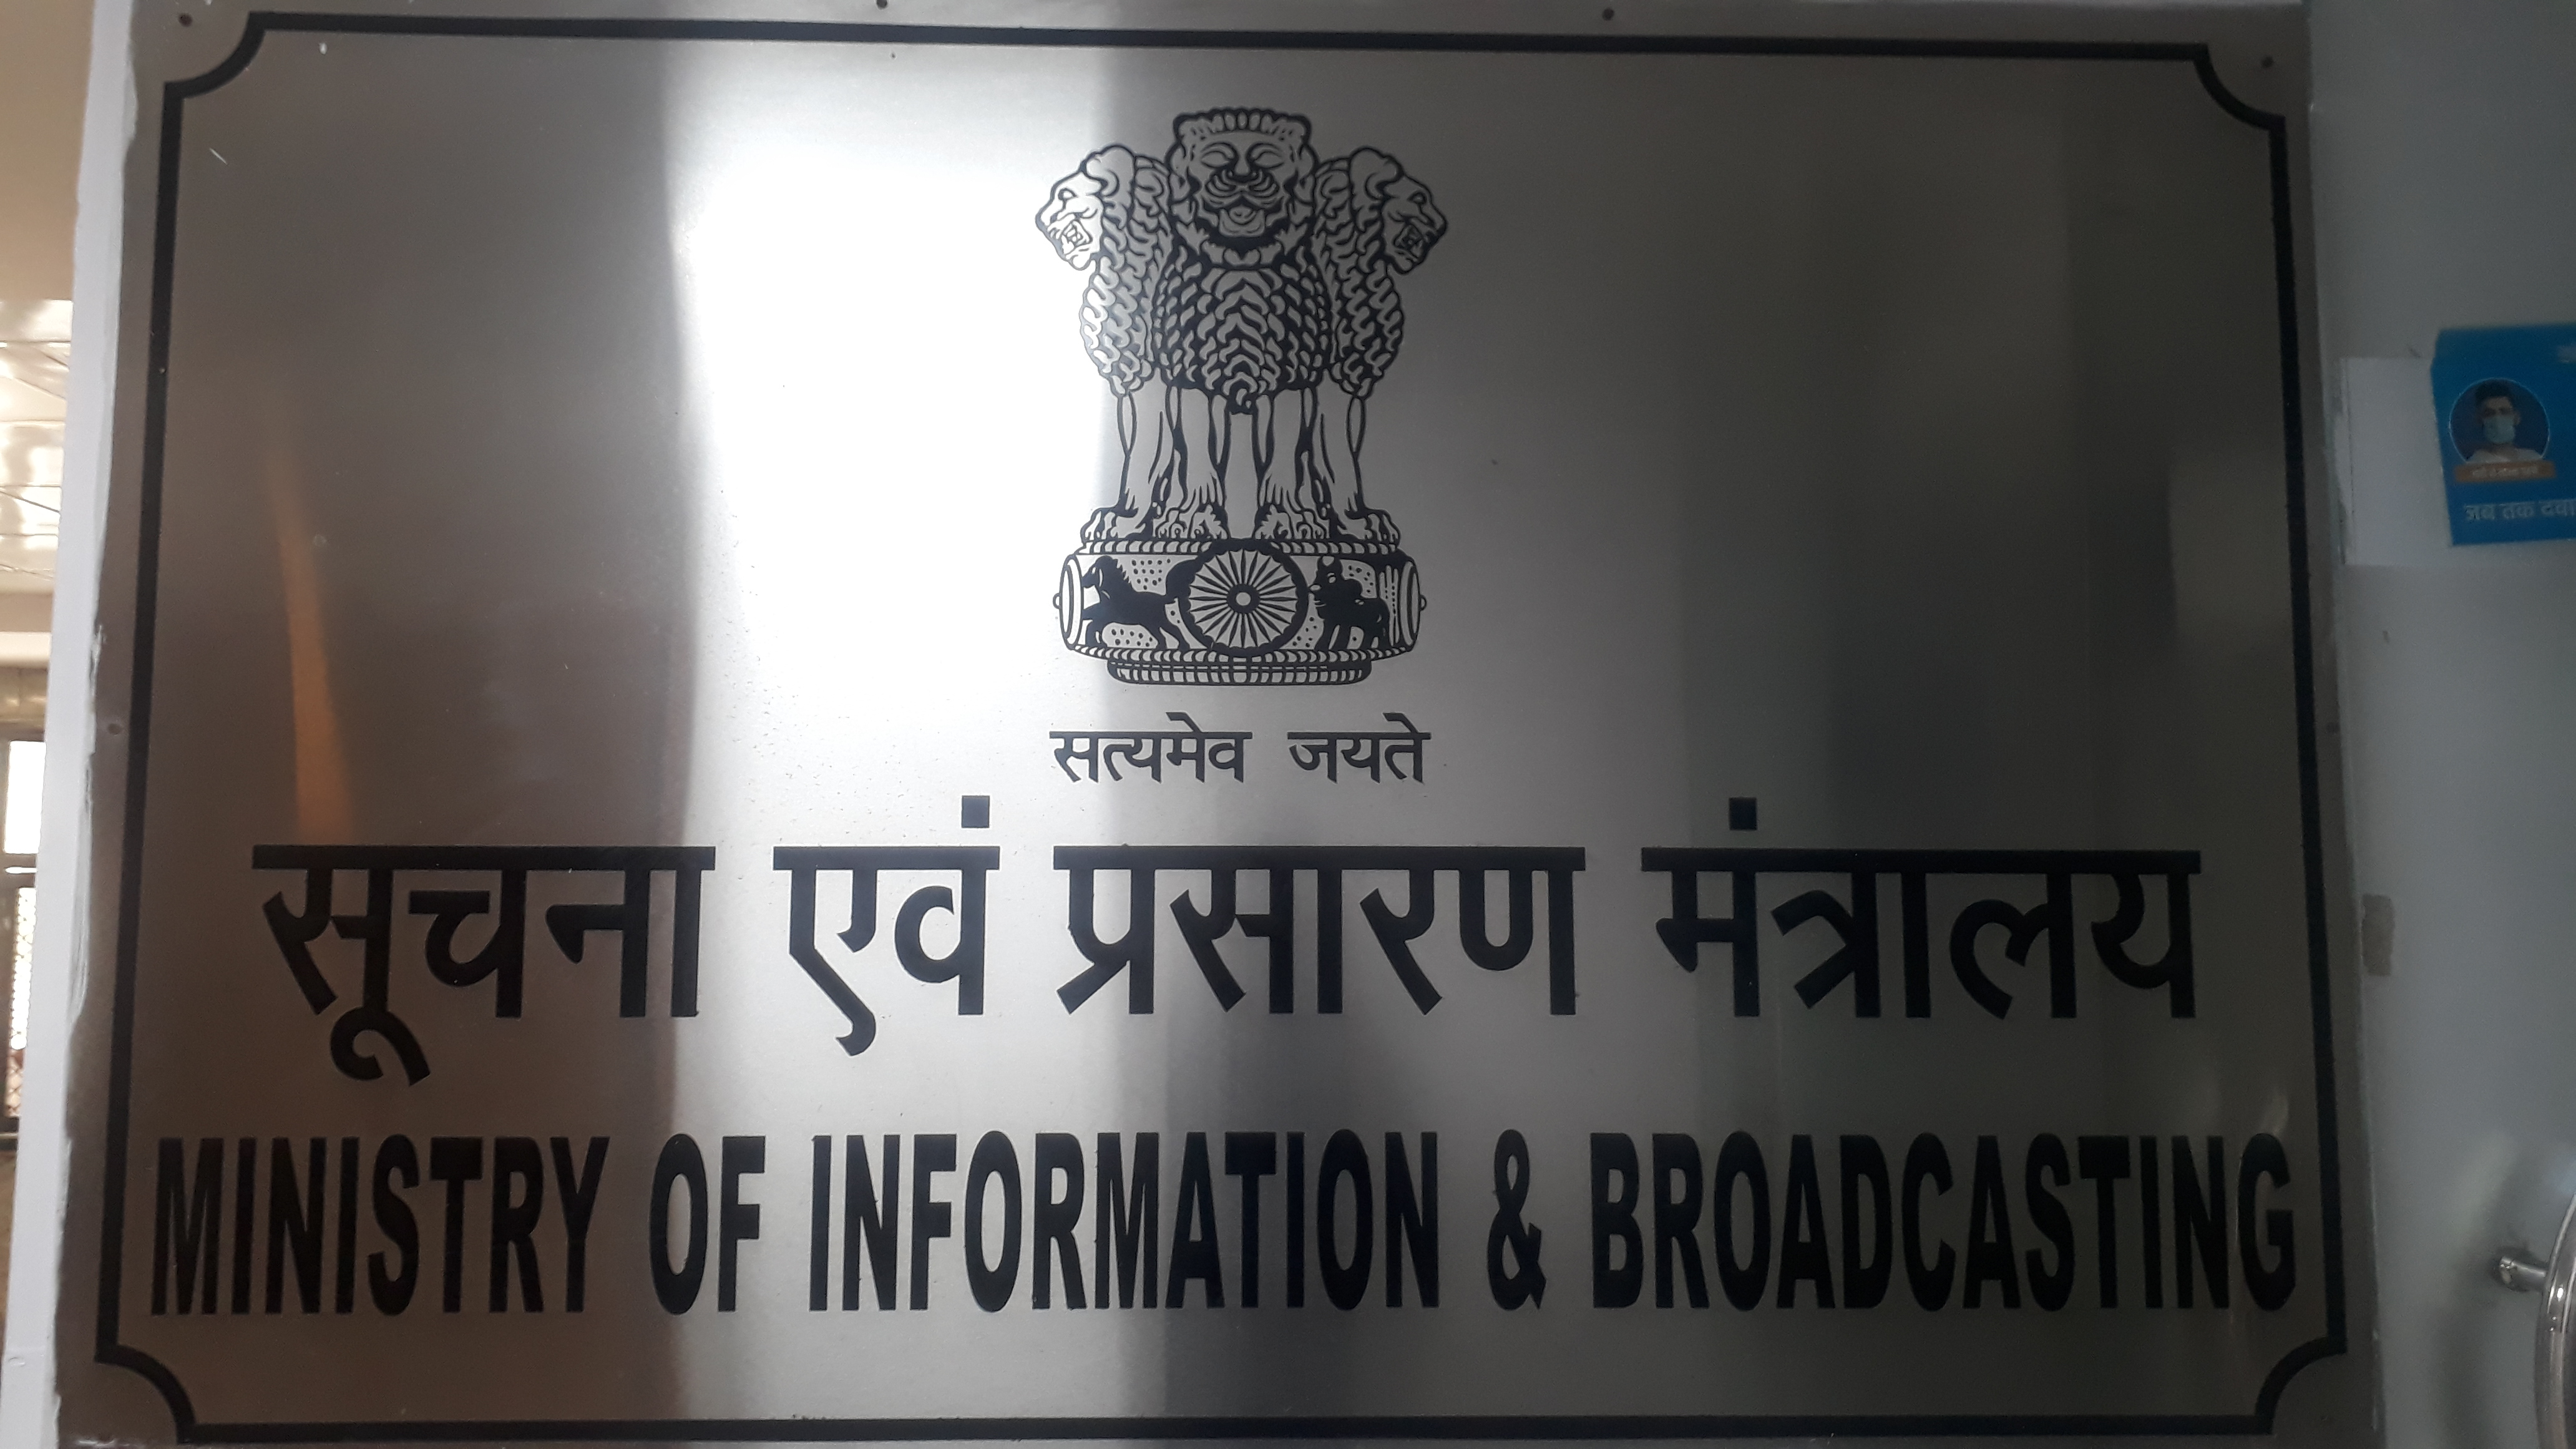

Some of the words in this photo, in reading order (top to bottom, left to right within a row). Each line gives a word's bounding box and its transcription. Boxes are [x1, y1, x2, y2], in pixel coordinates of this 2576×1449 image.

[2457, 500, 2498, 529] जब
[2493, 496, 2538, 527] तक
[1052, 704, 1257, 790] सत्यमेव
[1288, 705, 1433, 788] जयते
[247, 840, 726, 1096] सूचना
[771, 789, 1005, 1067] एवं
[1052, 840, 1590, 1023] प्रसारण
[1637, 793, 2208, 1028] मंत्रालय
[149, 1126, 617, 1319] MINISTRY
[630, 1113, 786, 1331] OF
[807, 1125, 1444, 1317] INFORMATION
[1483, 1120, 1550, 1317] &
[1580, 1123, 2300, 1320] BROADCASTING